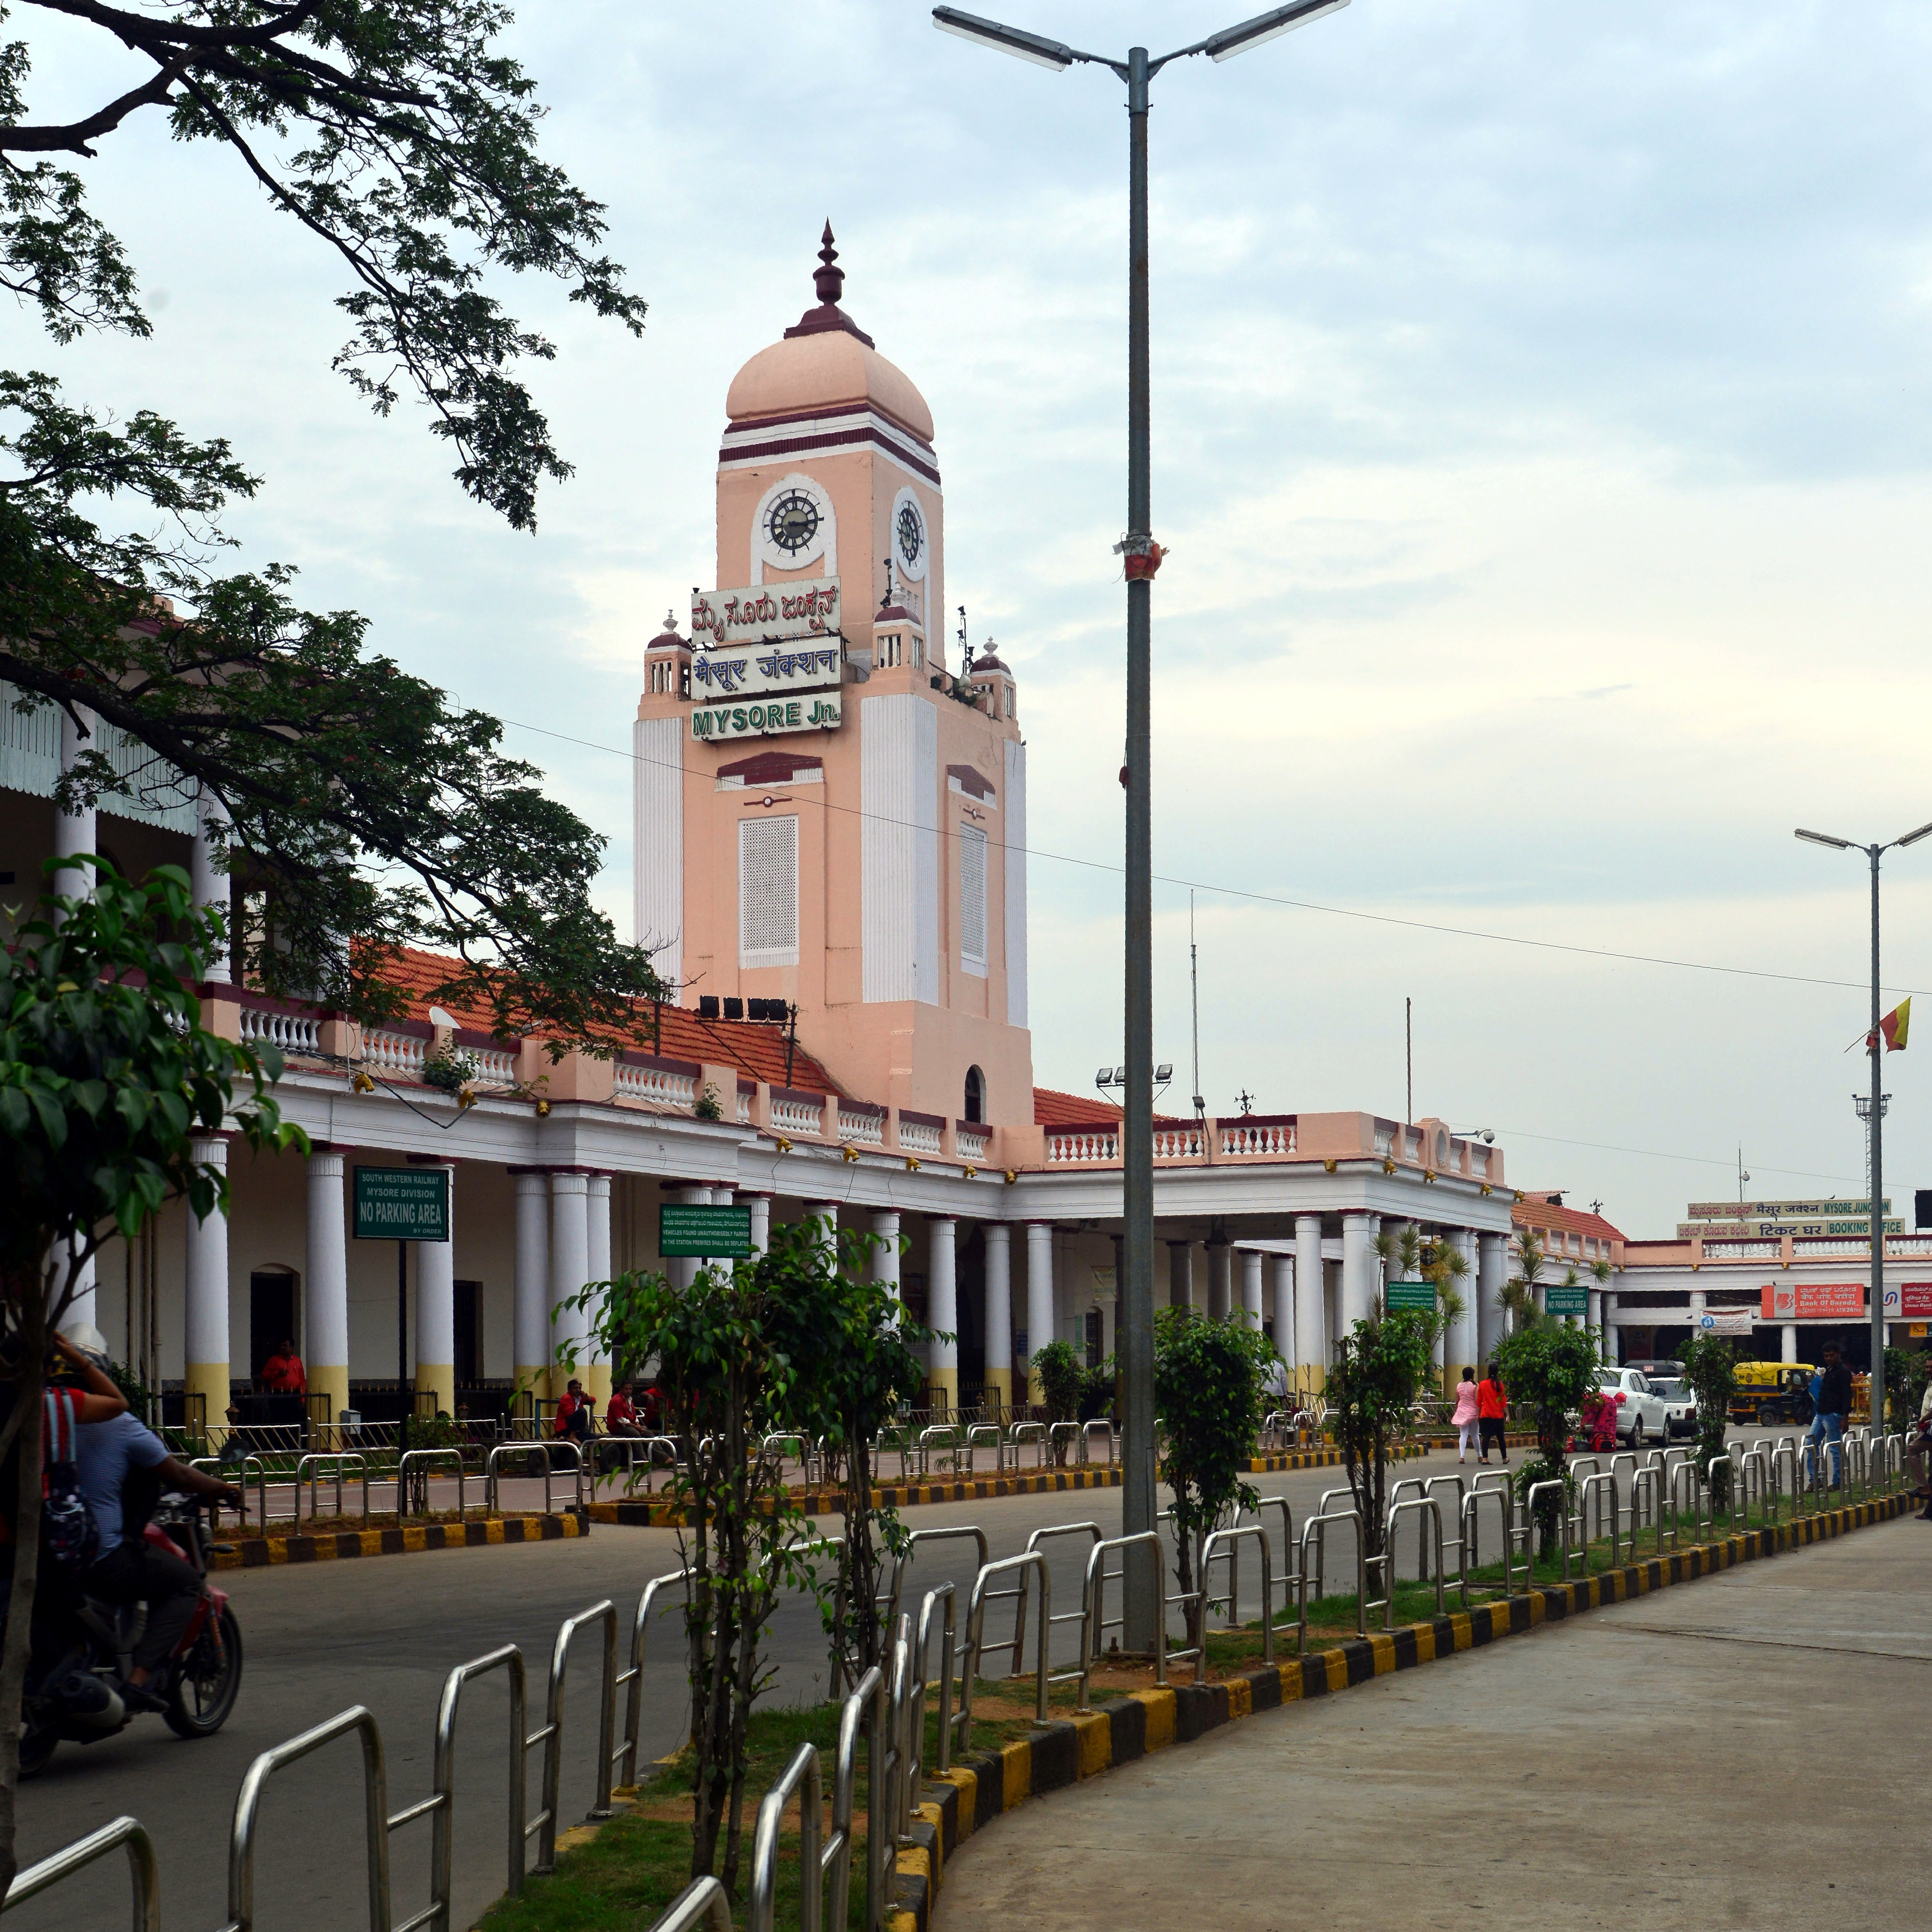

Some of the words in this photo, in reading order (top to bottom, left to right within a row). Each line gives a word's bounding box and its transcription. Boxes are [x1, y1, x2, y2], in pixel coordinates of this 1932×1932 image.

[778, 583, 837, 630] ಜಂಕ್ಷನ್
[691, 587, 778, 644] ಮೈಸೂರು
[753, 646, 837, 680] जंक्शन
[692, 652, 748, 692] मैसूर
[803, 698, 841, 726] Jn.
[691, 700, 801, 737] MYSORE
[359, 1171, 385, 1185] SOUTH
[382, 1173, 414, 1184] WESTERN
[412, 1174, 440, 1186] RAILWAY
[364, 1184, 399, 1199] MYSORE
[398, 1187, 437, 1200] DIVISION
[358, 1198, 375, 1225] NO
[375, 1200, 417, 1224] PARKING
[416, 1200, 443, 1226] AREA
[661, 1207, 686, 1219] ರೈಟ್ಟೆನಲ್ಲಾಣದ
[1686, 1202, 1724, 1219] ಮೈಸೂರು
[1725, 1202, 1753, 1220] ಜಂಕ್ಷನ್
[1751, 1200, 1782, 1220] मैसूर
[1783, 1200, 1821, 1215] जंक्शन
[1822, 1199, 1855, 1214] MYSORE
[1853, 1199, 1892, 1215] JUNCTION
[412, 1226, 424, 1236] BY
[421, 1227, 444, 1235] ORDER
[661, 1226, 683, 1237] VEHICLES
[682, 1229, 698, 1237] FOUND
[697, 1228, 734, 1238] UNAUTHORISEDLY
[721, 1217, 752, 1229] ಡೆಗೆಯವಾಗುವುದ
[731, 1229, 752, 1238] PARKED
[1677, 1223, 1703, 1238] ೞಕೇಟ್
[1703, 1222, 1728, 1237] ಕೊಡುವ
[1727, 1221, 1753, 1238] ಕಛೇರಿ
[1755, 1219, 1799, 1240] टिकट
[1800, 1223, 1823, 1237] घर
[1828, 1219, 1870, 1235] BOOKING
[659, 1238, 669, 1246] IN
[666, 1238, 677, 1246] THE
[674, 1237, 694, 1247] STATION
[692, 1239, 713, 1248] PREMISES
[710, 1239, 726, 1248] SHALL
[722, 1239, 731, 1248] BE
[729, 1239, 751, 1249] DEFLATED
[1545, 1299, 1557, 1310] NO
[1553, 1299, 1575, 1311] PARKING
[1573, 1299, 1588, 1310] AREA
[1798, 1289, 1815, 1302] बैक
[1798, 1285, 1819, 1296] ಬಾಂಕ್
[1798, 1299, 1819, 1308] Bank
[1815, 1289, 1834, 1301] ऑफ़
[1820, 1299, 1829, 1307] Of
[1818, 1284, 1833, 1294] ಆಫ್
[1834, 1305, 1849, 1314] ATM
[1828, 1297, 1858, 1307] Barada
[1832, 1289, 1856, 1302] बडौदा
[1833, 1284, 1859, 1294] ಬರೋಡ
[1845, 1306, 1862, 1313] 24Hrs
[1902, 1302, 1920, 1309] Union
[1904, 1293, 1922, 1302] यूनियन
[1919, 1292, 1931, 1302] बैंक
[1919, 1301, 1932, 1309] Bank